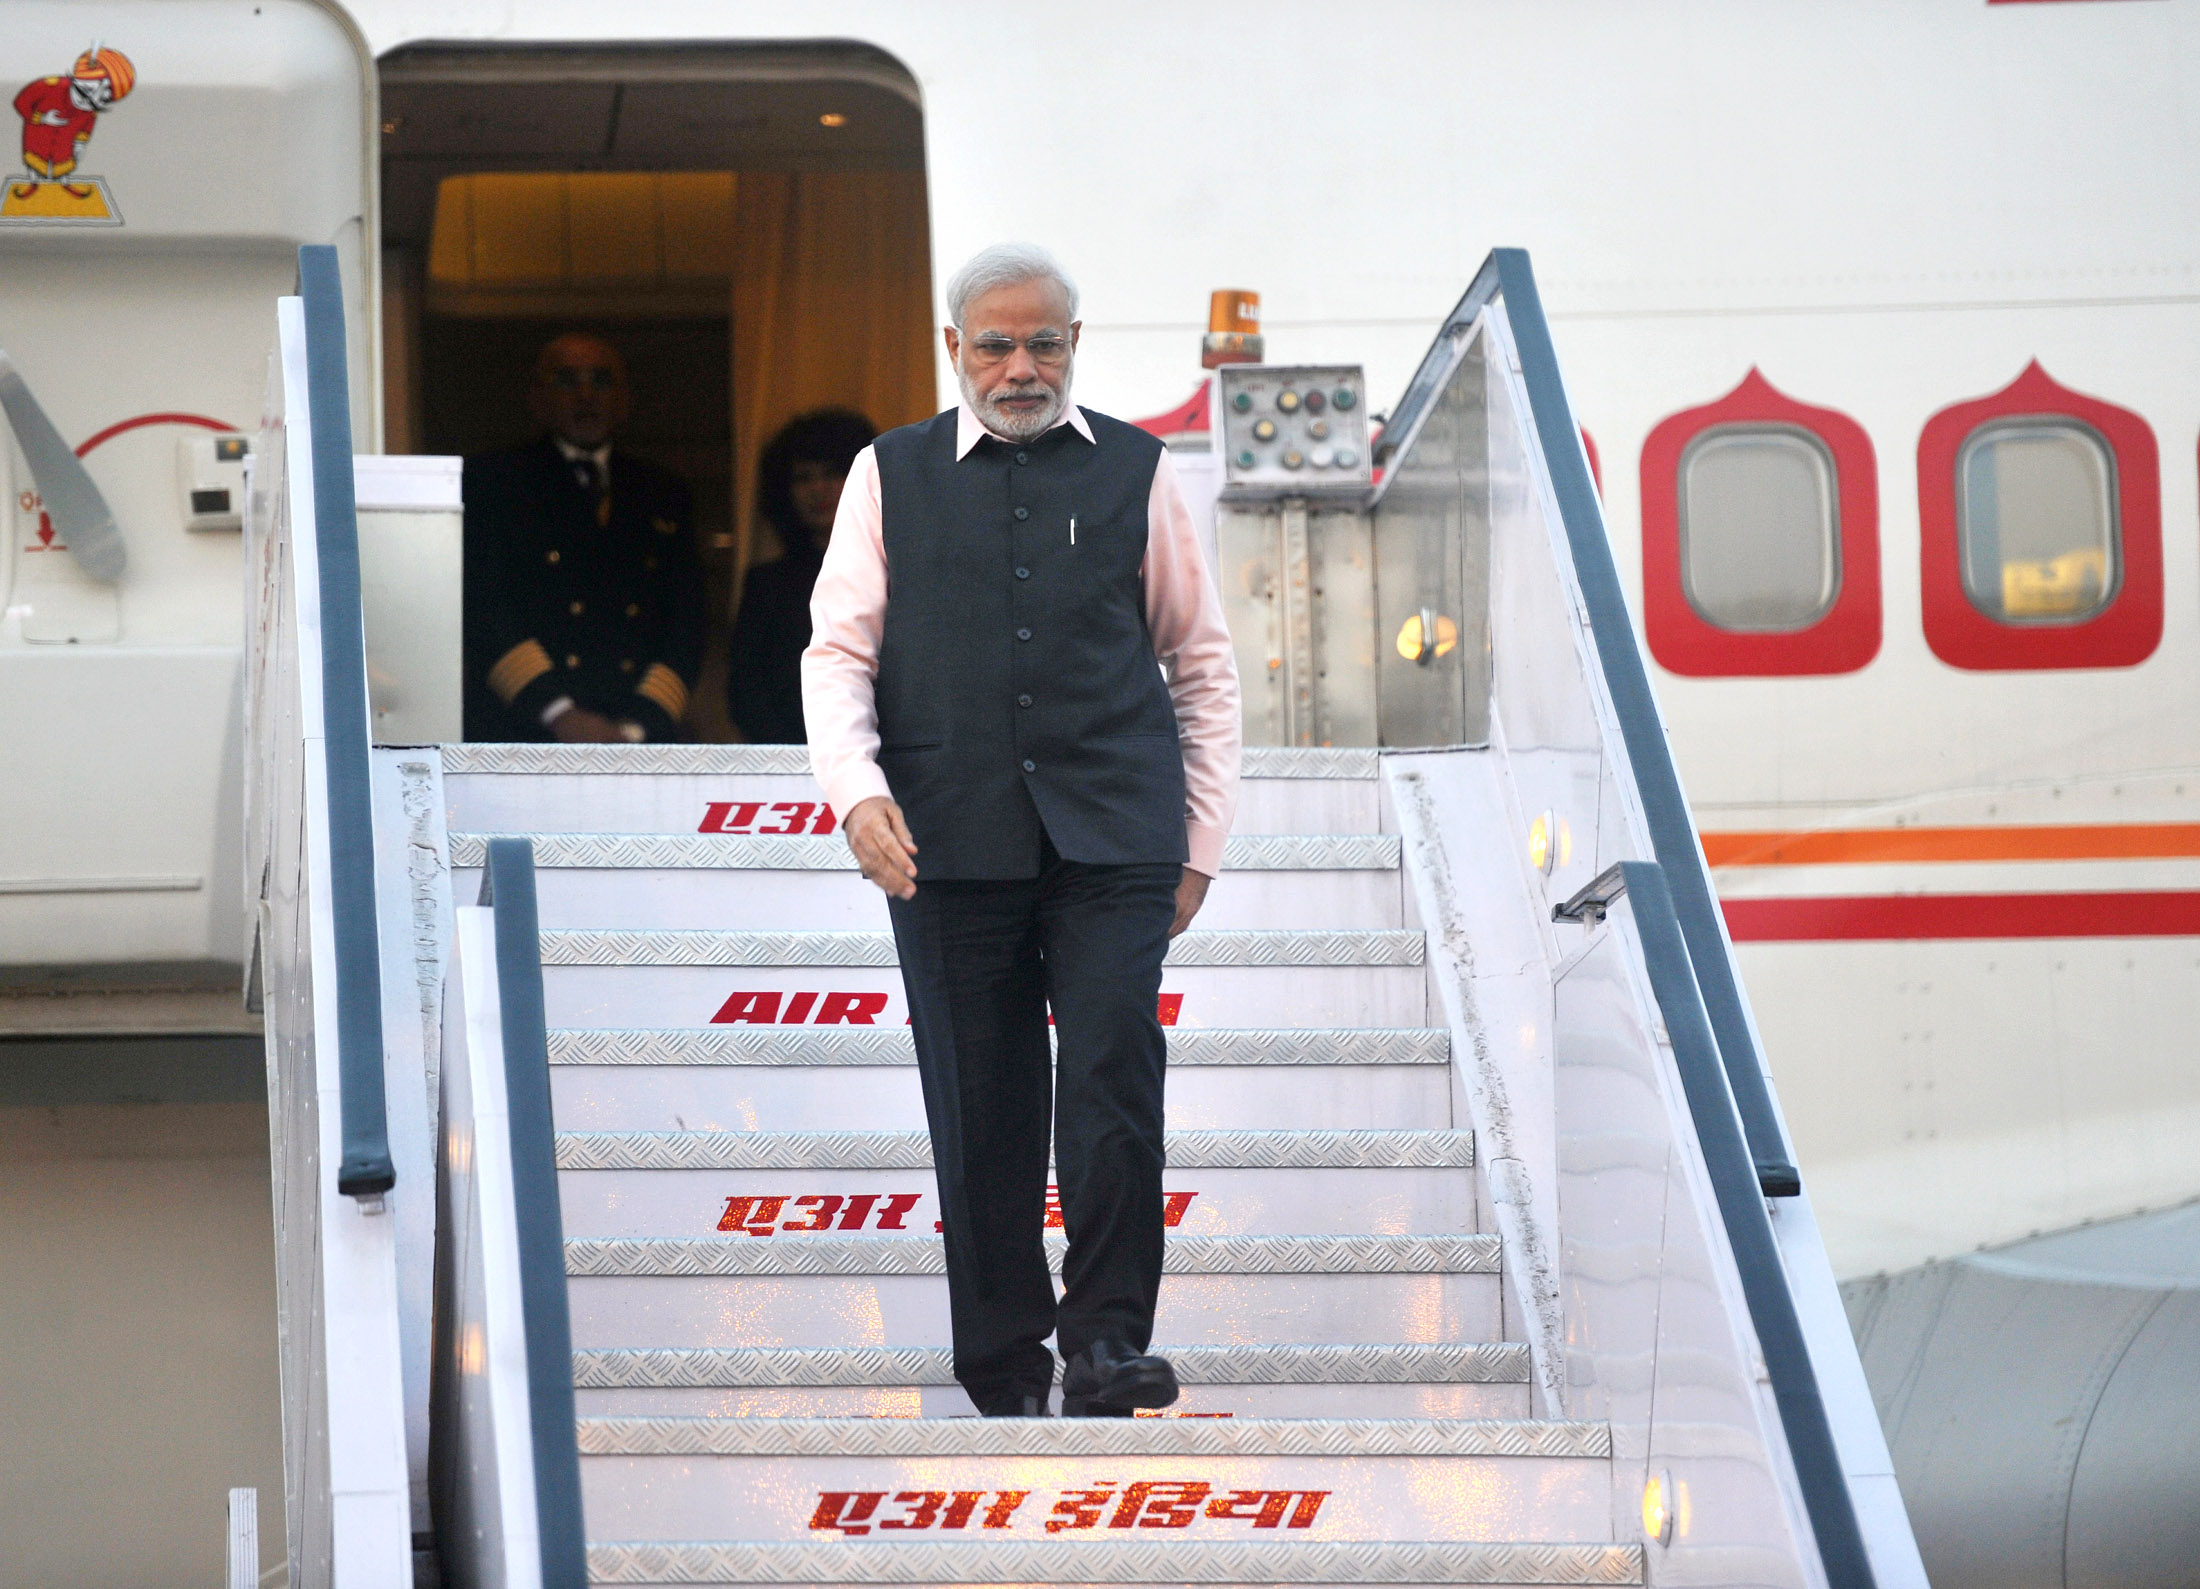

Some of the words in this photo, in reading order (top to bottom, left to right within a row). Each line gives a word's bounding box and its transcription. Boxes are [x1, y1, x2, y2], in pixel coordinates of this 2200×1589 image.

[705, 991, 890, 1028] AIR
[710, 1190, 922, 1241] एअर
[806, 1488, 1034, 1540] एअर
[1041, 1476, 1335, 1535] इंडिया